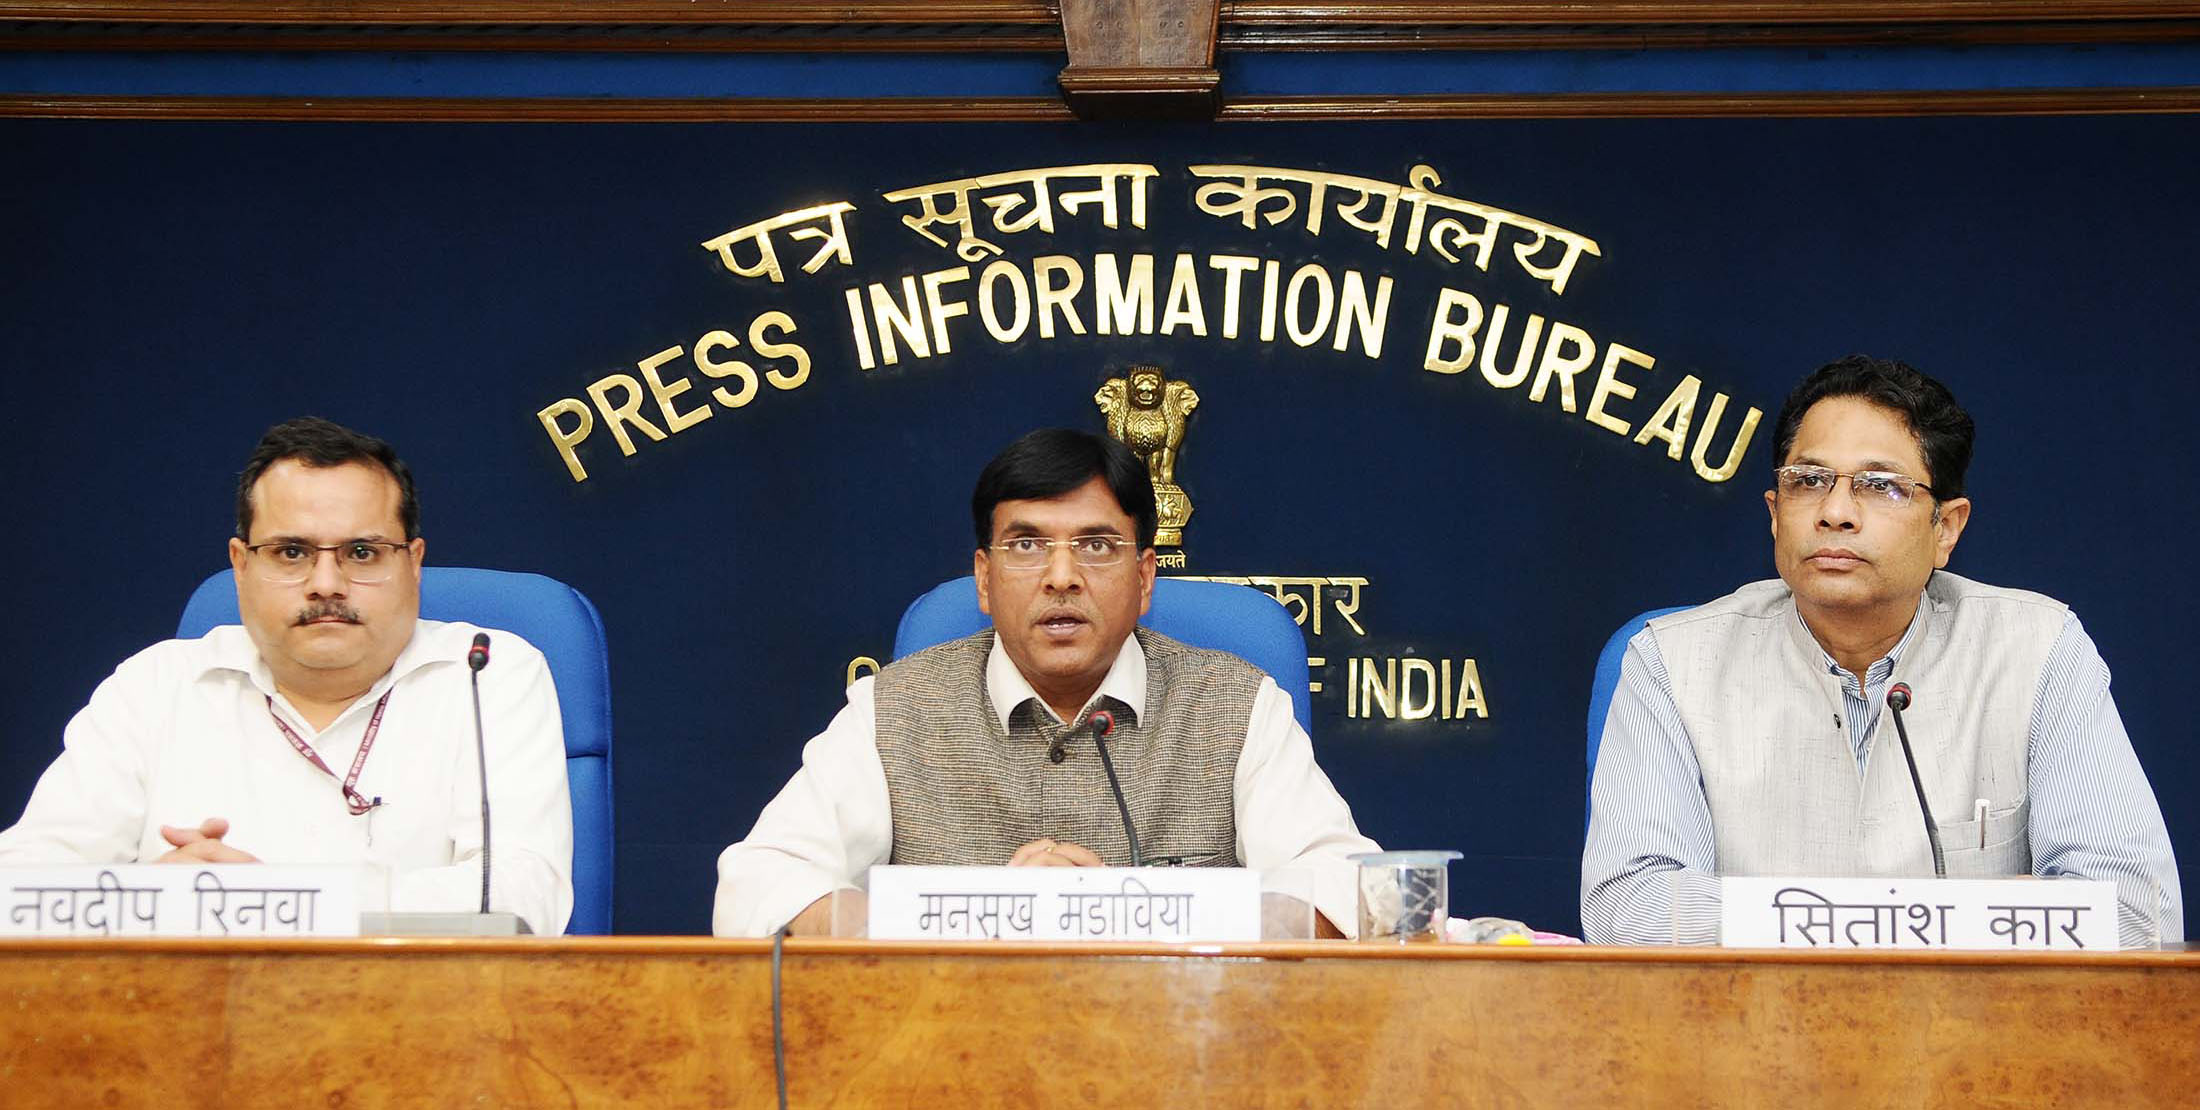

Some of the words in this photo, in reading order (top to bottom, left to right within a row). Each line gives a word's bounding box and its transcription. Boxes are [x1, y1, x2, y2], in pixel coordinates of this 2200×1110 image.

[699, 198, 857, 297] पत्र
[881, 162, 1162, 272] सूचना
[1188, 159, 1609, 301] कार्यालय
[841, 246, 1401, 378] INFORMATION
[529, 301, 815, 492] PRESS
[1415, 283, 1769, 490] BUREAU
[1341, 652, 1494, 726] INDIA
[4, 873, 166, 940] नवदीप
[184, 869, 326, 940] रिनवा
[914, 885, 1044, 946] मनसुख
[1054, 869, 1199, 940] मंडाविया
[1764, 877, 1960, 950] सितांश
[1987, 894, 2091, 954] कार